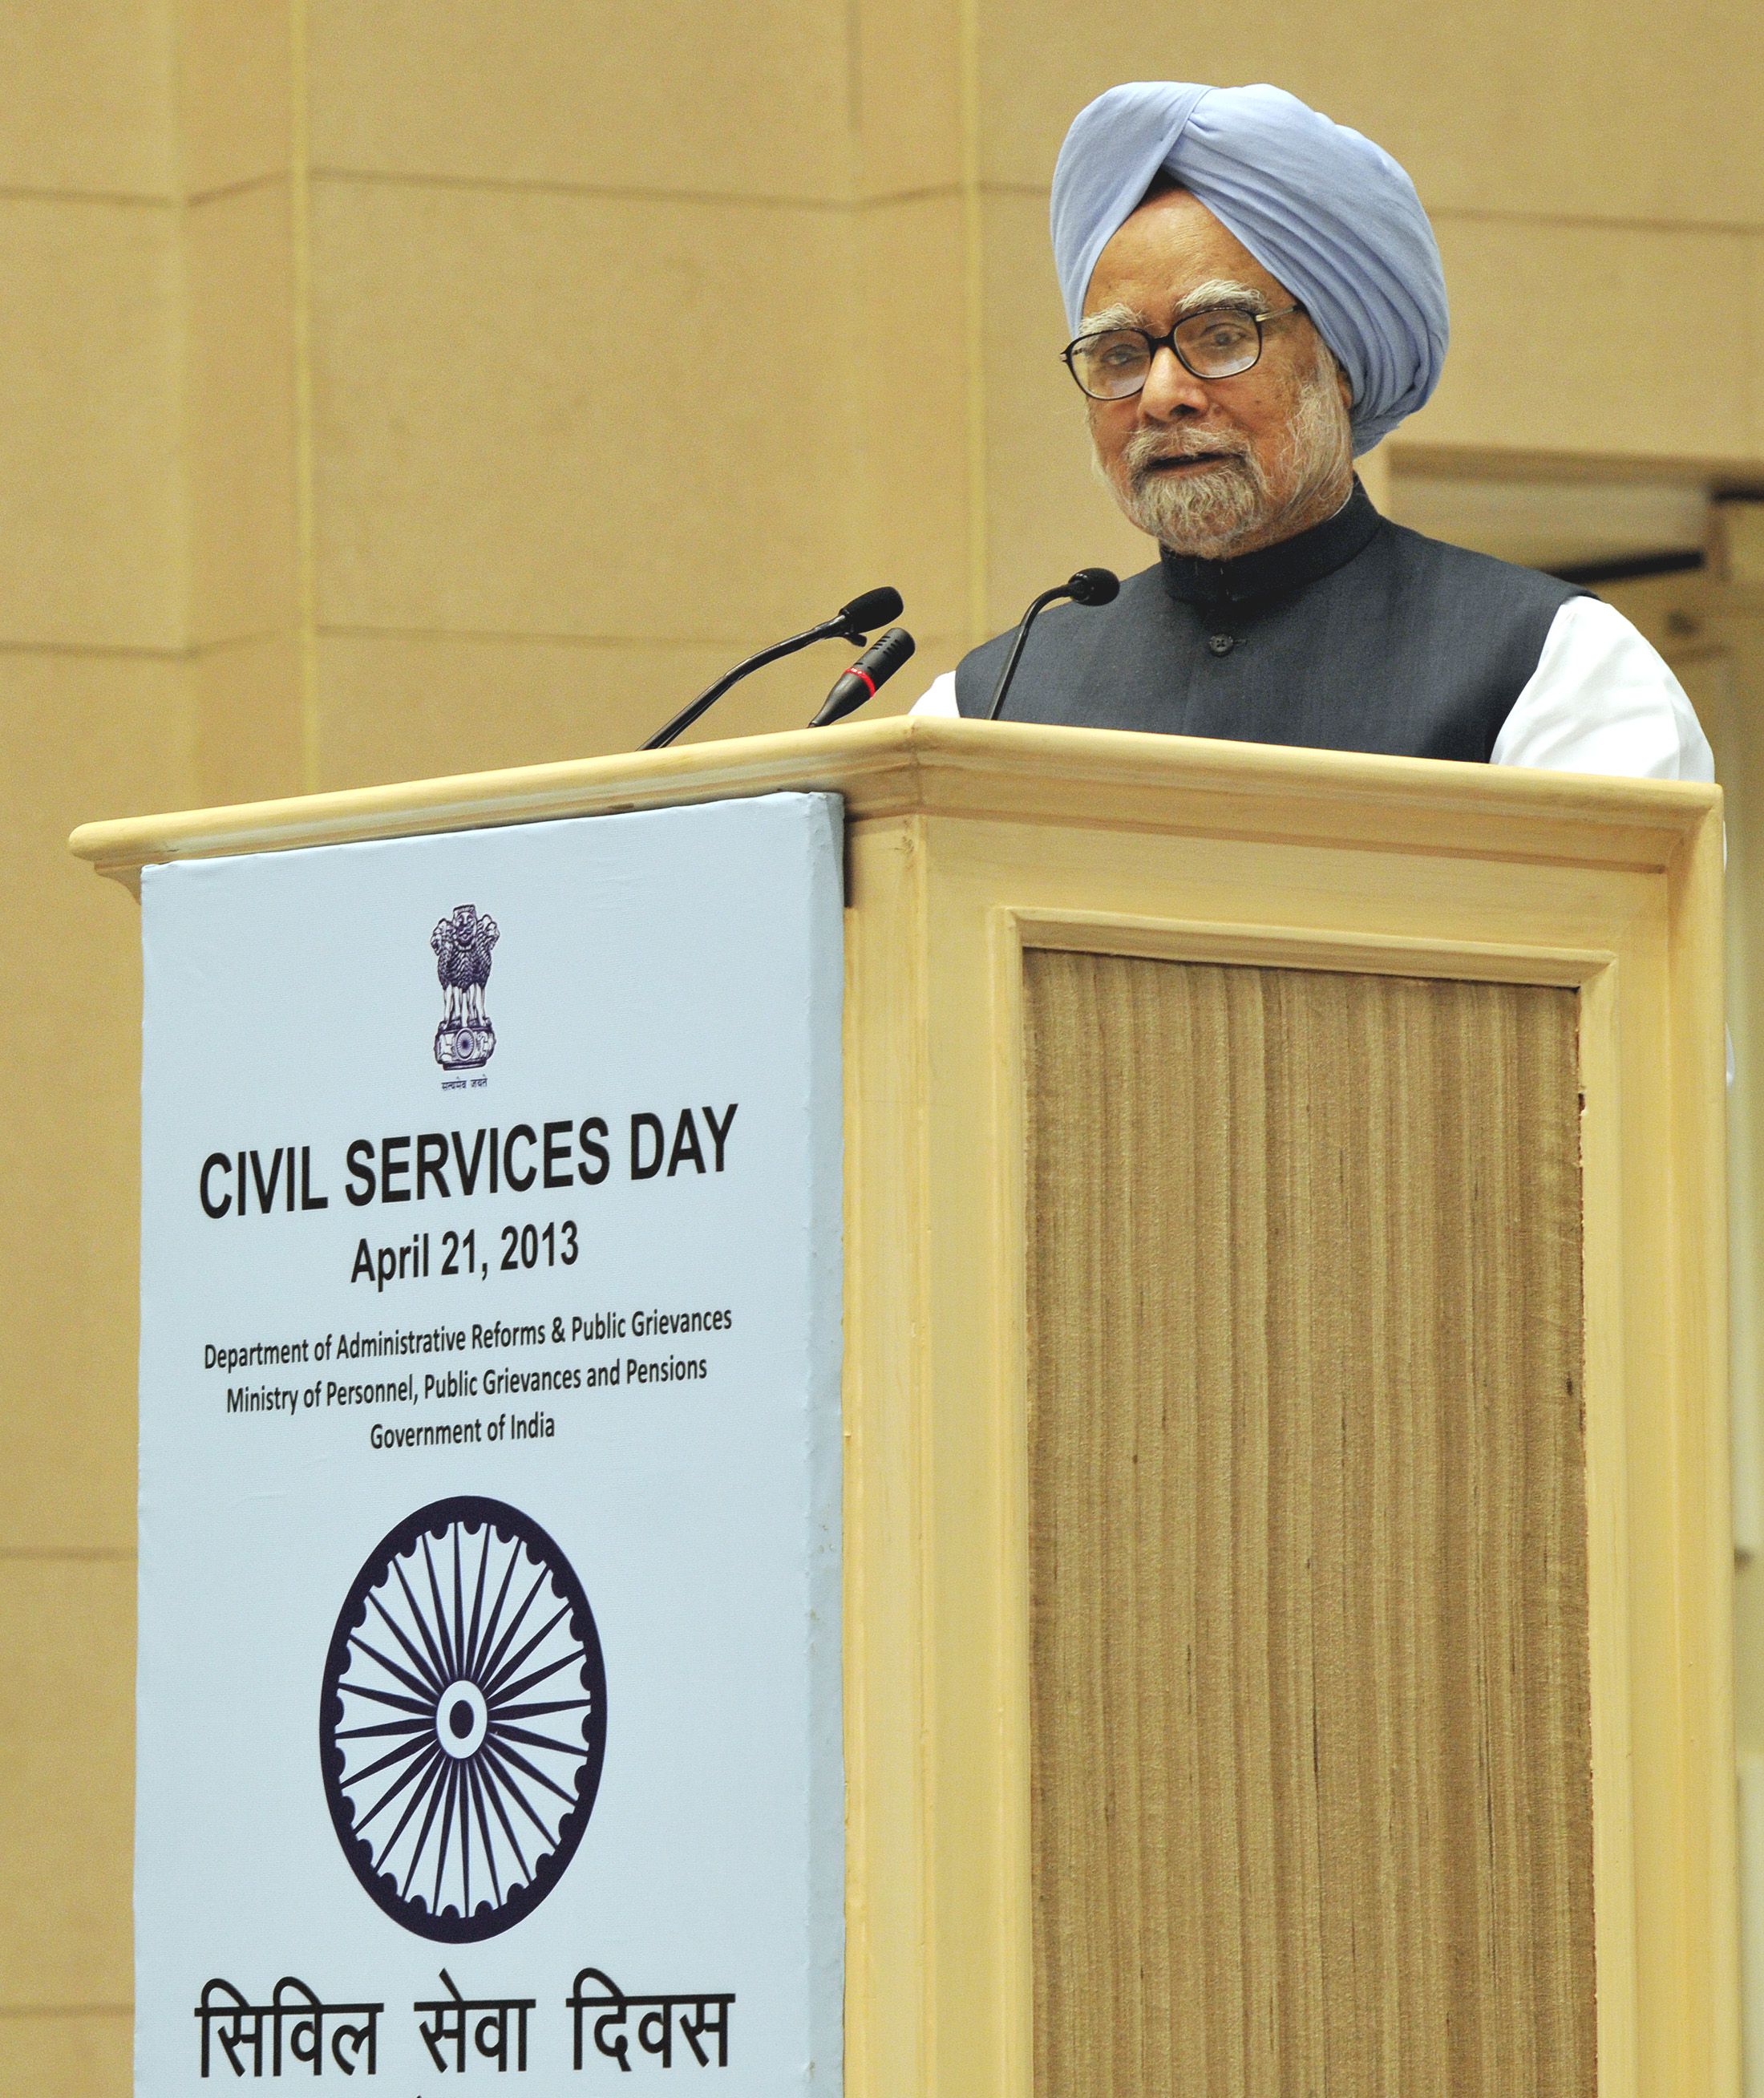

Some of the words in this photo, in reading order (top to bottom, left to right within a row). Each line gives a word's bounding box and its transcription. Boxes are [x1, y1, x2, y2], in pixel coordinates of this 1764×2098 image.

[435, 1069, 470, 1096] सत्यमेव
[465, 1069, 493, 1092] जयते
[342, 1108, 613, 1212] SERVICES
[627, 1099, 741, 1185] DAY
[184, 1133, 330, 1232] CIVIL
[338, 1227, 436, 1295] April
[429, 1222, 496, 1288] 21,
[489, 1210, 589, 1283] 2013
[201, 1335, 313, 1377] Department
[220, 1379, 305, 1422] Ministry
[297, 1373, 325, 1411] of
[308, 1330, 338, 1367] of
[323, 1371, 418, 1411] Personnel,
[330, 1321, 469, 1365] Administrative
[419, 1365, 482, 1403] Public
[465, 1311, 556, 1355] Reforms
[479, 1362, 584, 1399] Grievances
[544, 1313, 569, 1348] &
[567, 1306, 629, 1345] Public
[581, 1355, 625, 1389] and
[621, 1350, 711, 1387] Pensions
[629, 1302, 737, 1343] Grievances
[366, 1416, 485, 1452] Government
[481, 1412, 509, 1446] of
[506, 1407, 560, 1445] India
[177, 1969, 393, 2091] सिविल
[398, 1969, 542, 2088] सेवा
[553, 1969, 743, 2084] दिवस